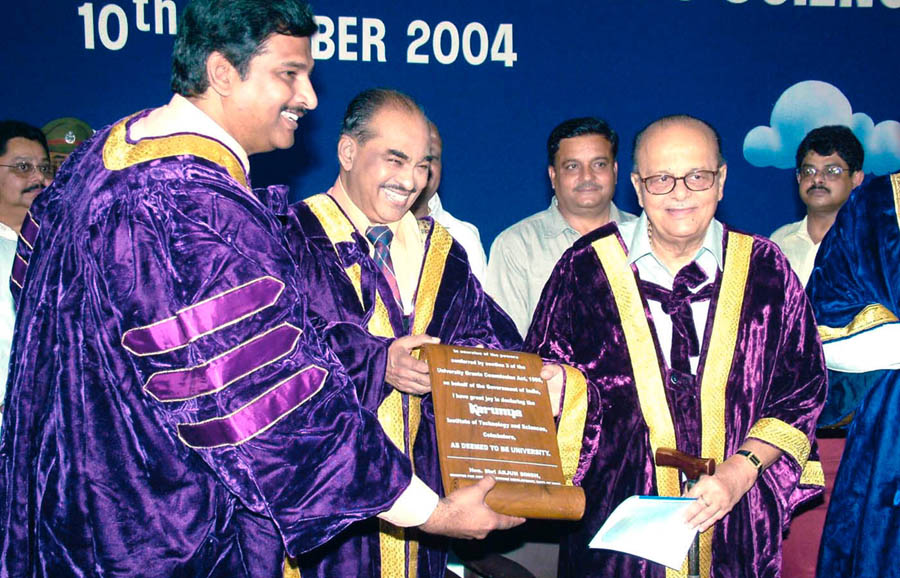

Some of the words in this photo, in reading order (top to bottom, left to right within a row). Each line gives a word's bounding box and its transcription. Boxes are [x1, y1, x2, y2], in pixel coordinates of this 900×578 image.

[403, 12, 520, 76] 2004